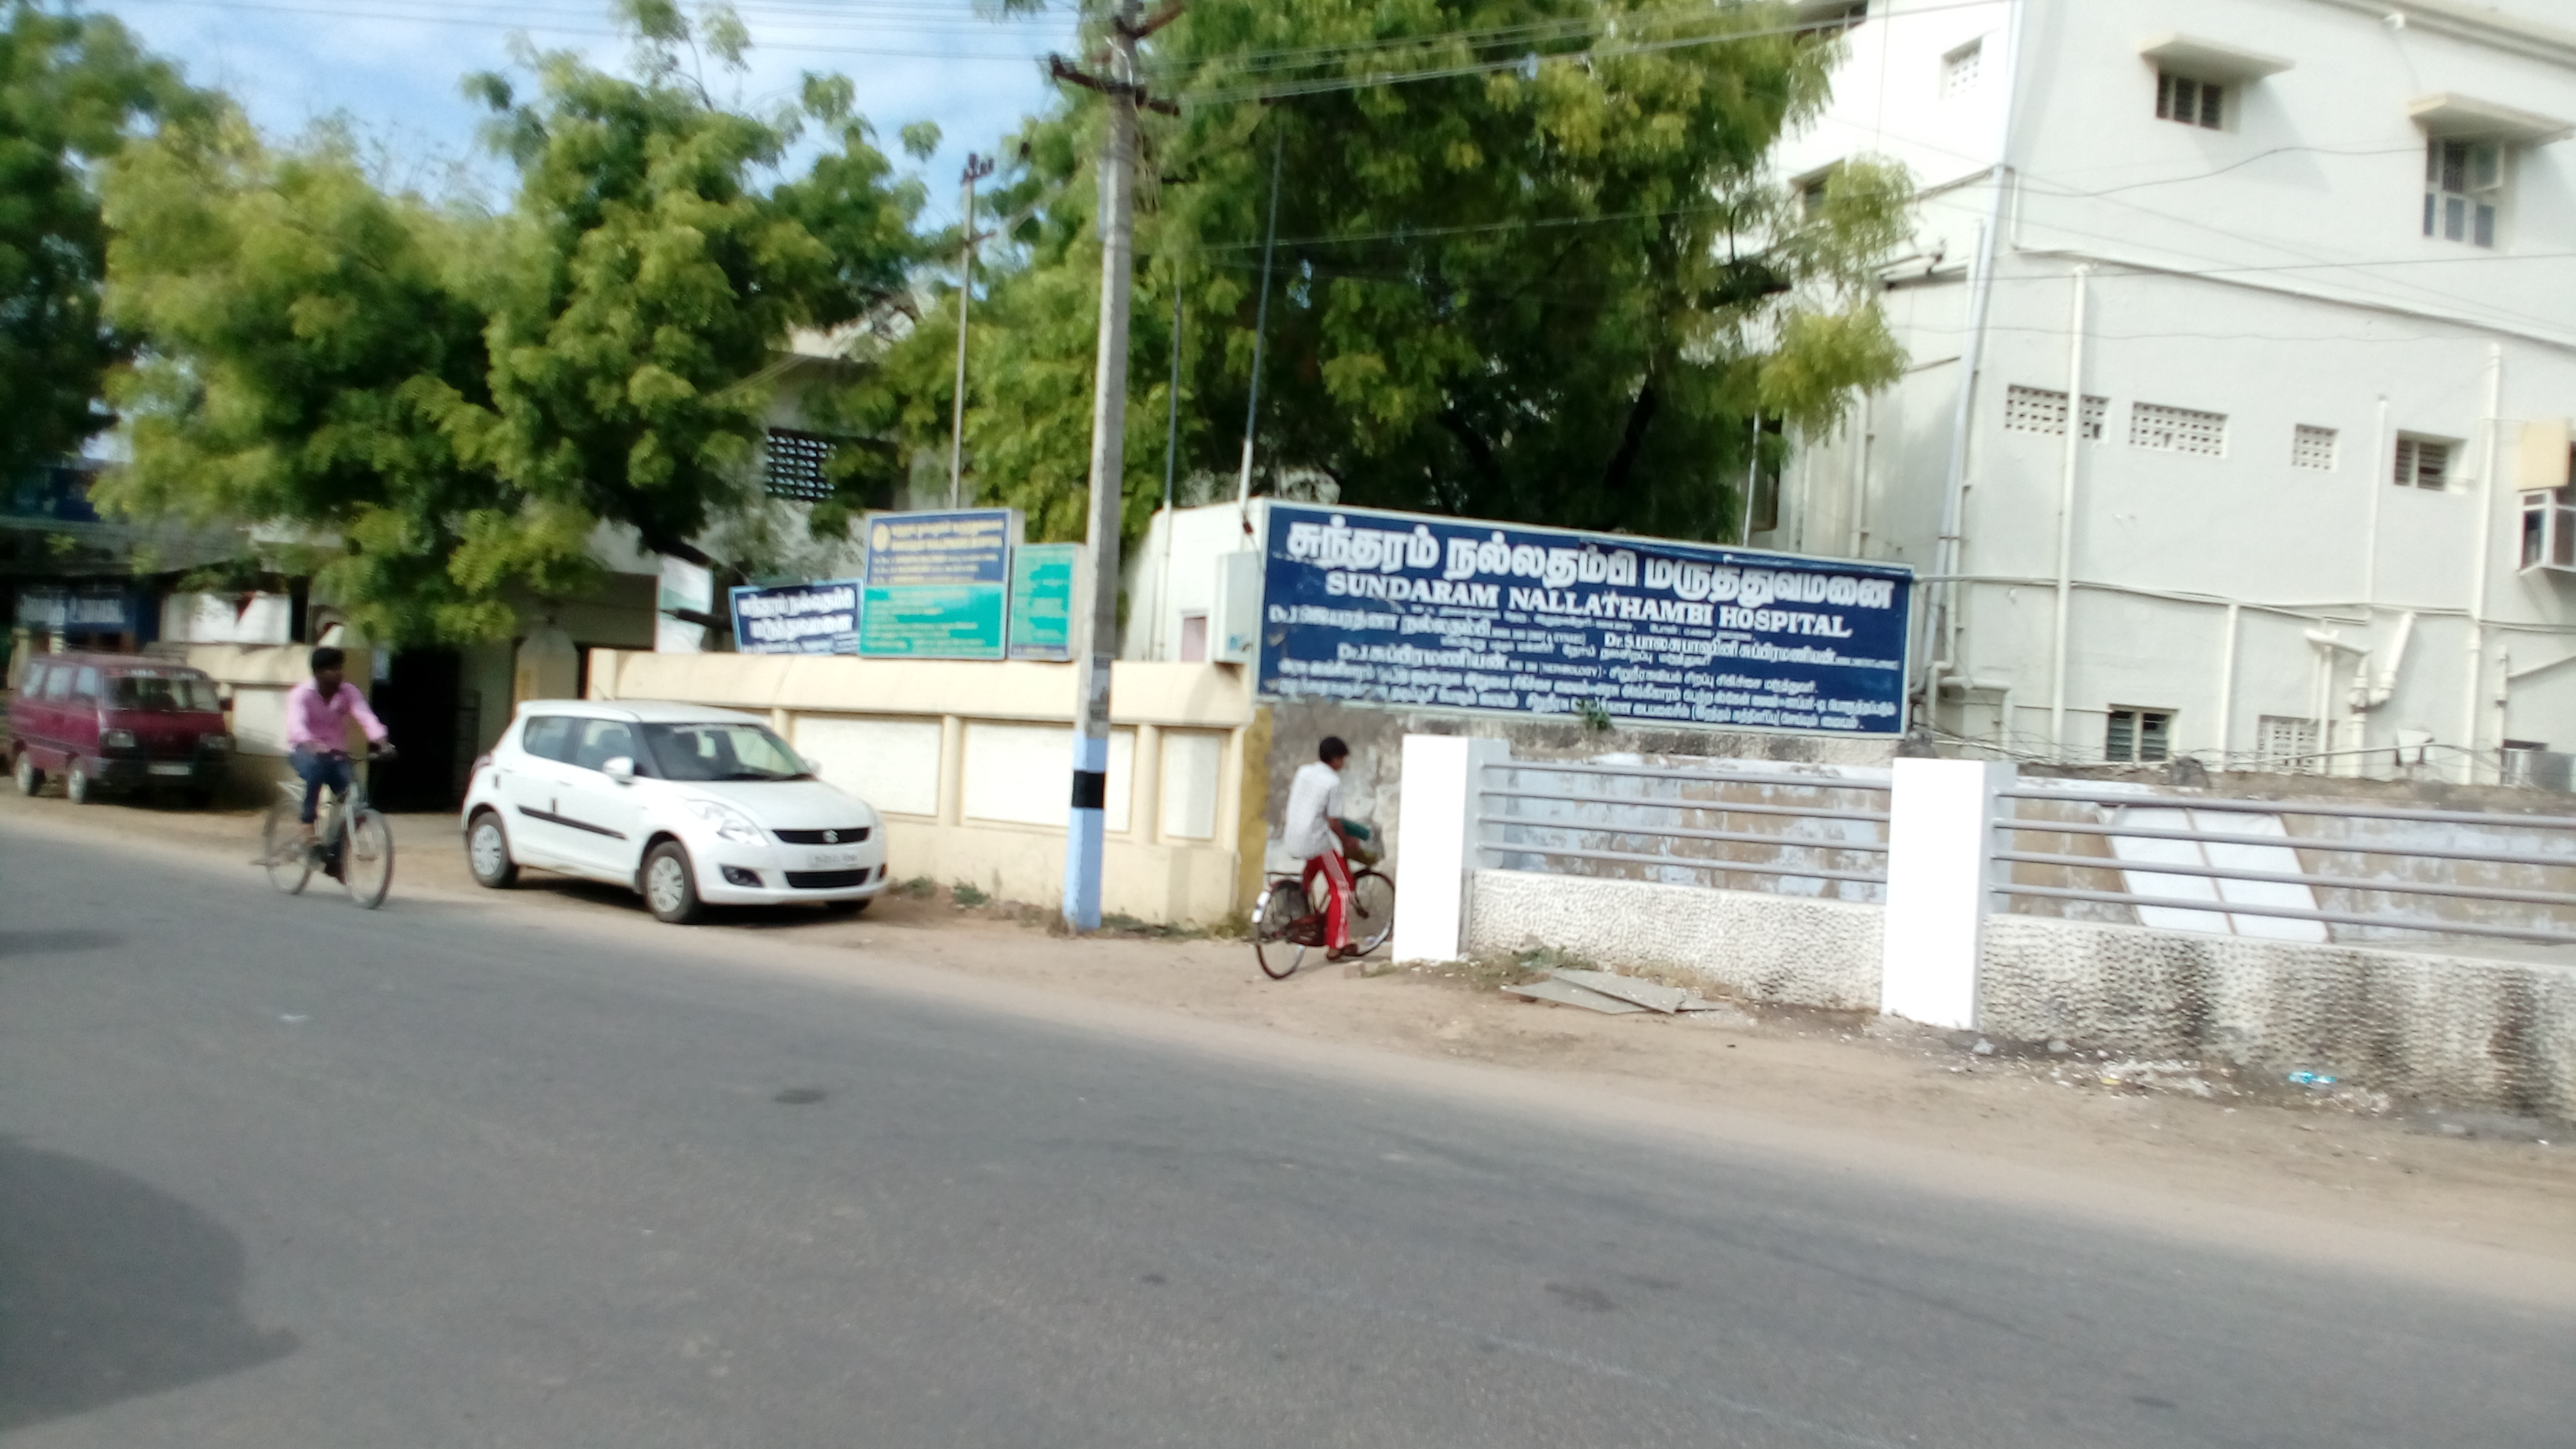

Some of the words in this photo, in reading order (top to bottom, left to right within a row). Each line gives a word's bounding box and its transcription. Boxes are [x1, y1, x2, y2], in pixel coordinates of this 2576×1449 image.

[1286, 508, 1448, 579] சுந்தரம்
[1438, 522, 1642, 596] நல்லதமபி
[1320, 568, 1507, 615] SUNDARAM
[1397, 605, 1493, 641] நல்லதம்பி
[1505, 580, 1718, 631] NALLATHAMBI
[1640, 551, 1902, 616] மருததுவமனை
[1711, 600, 1856, 641] HOSPITAL
[1733, 637, 1841, 668] சுப்பிரமணியன்,
[1606, 659, 1686, 690] சிறுநீரகவியல்
[1680, 661, 1721, 694] சிறப்பு
[1713, 665, 1770, 700] சிகிச்சை
[1758, 673, 1823, 700] ம௫த்துவர்
[1819, 693, 1900, 721] பொருத்தப்படும்